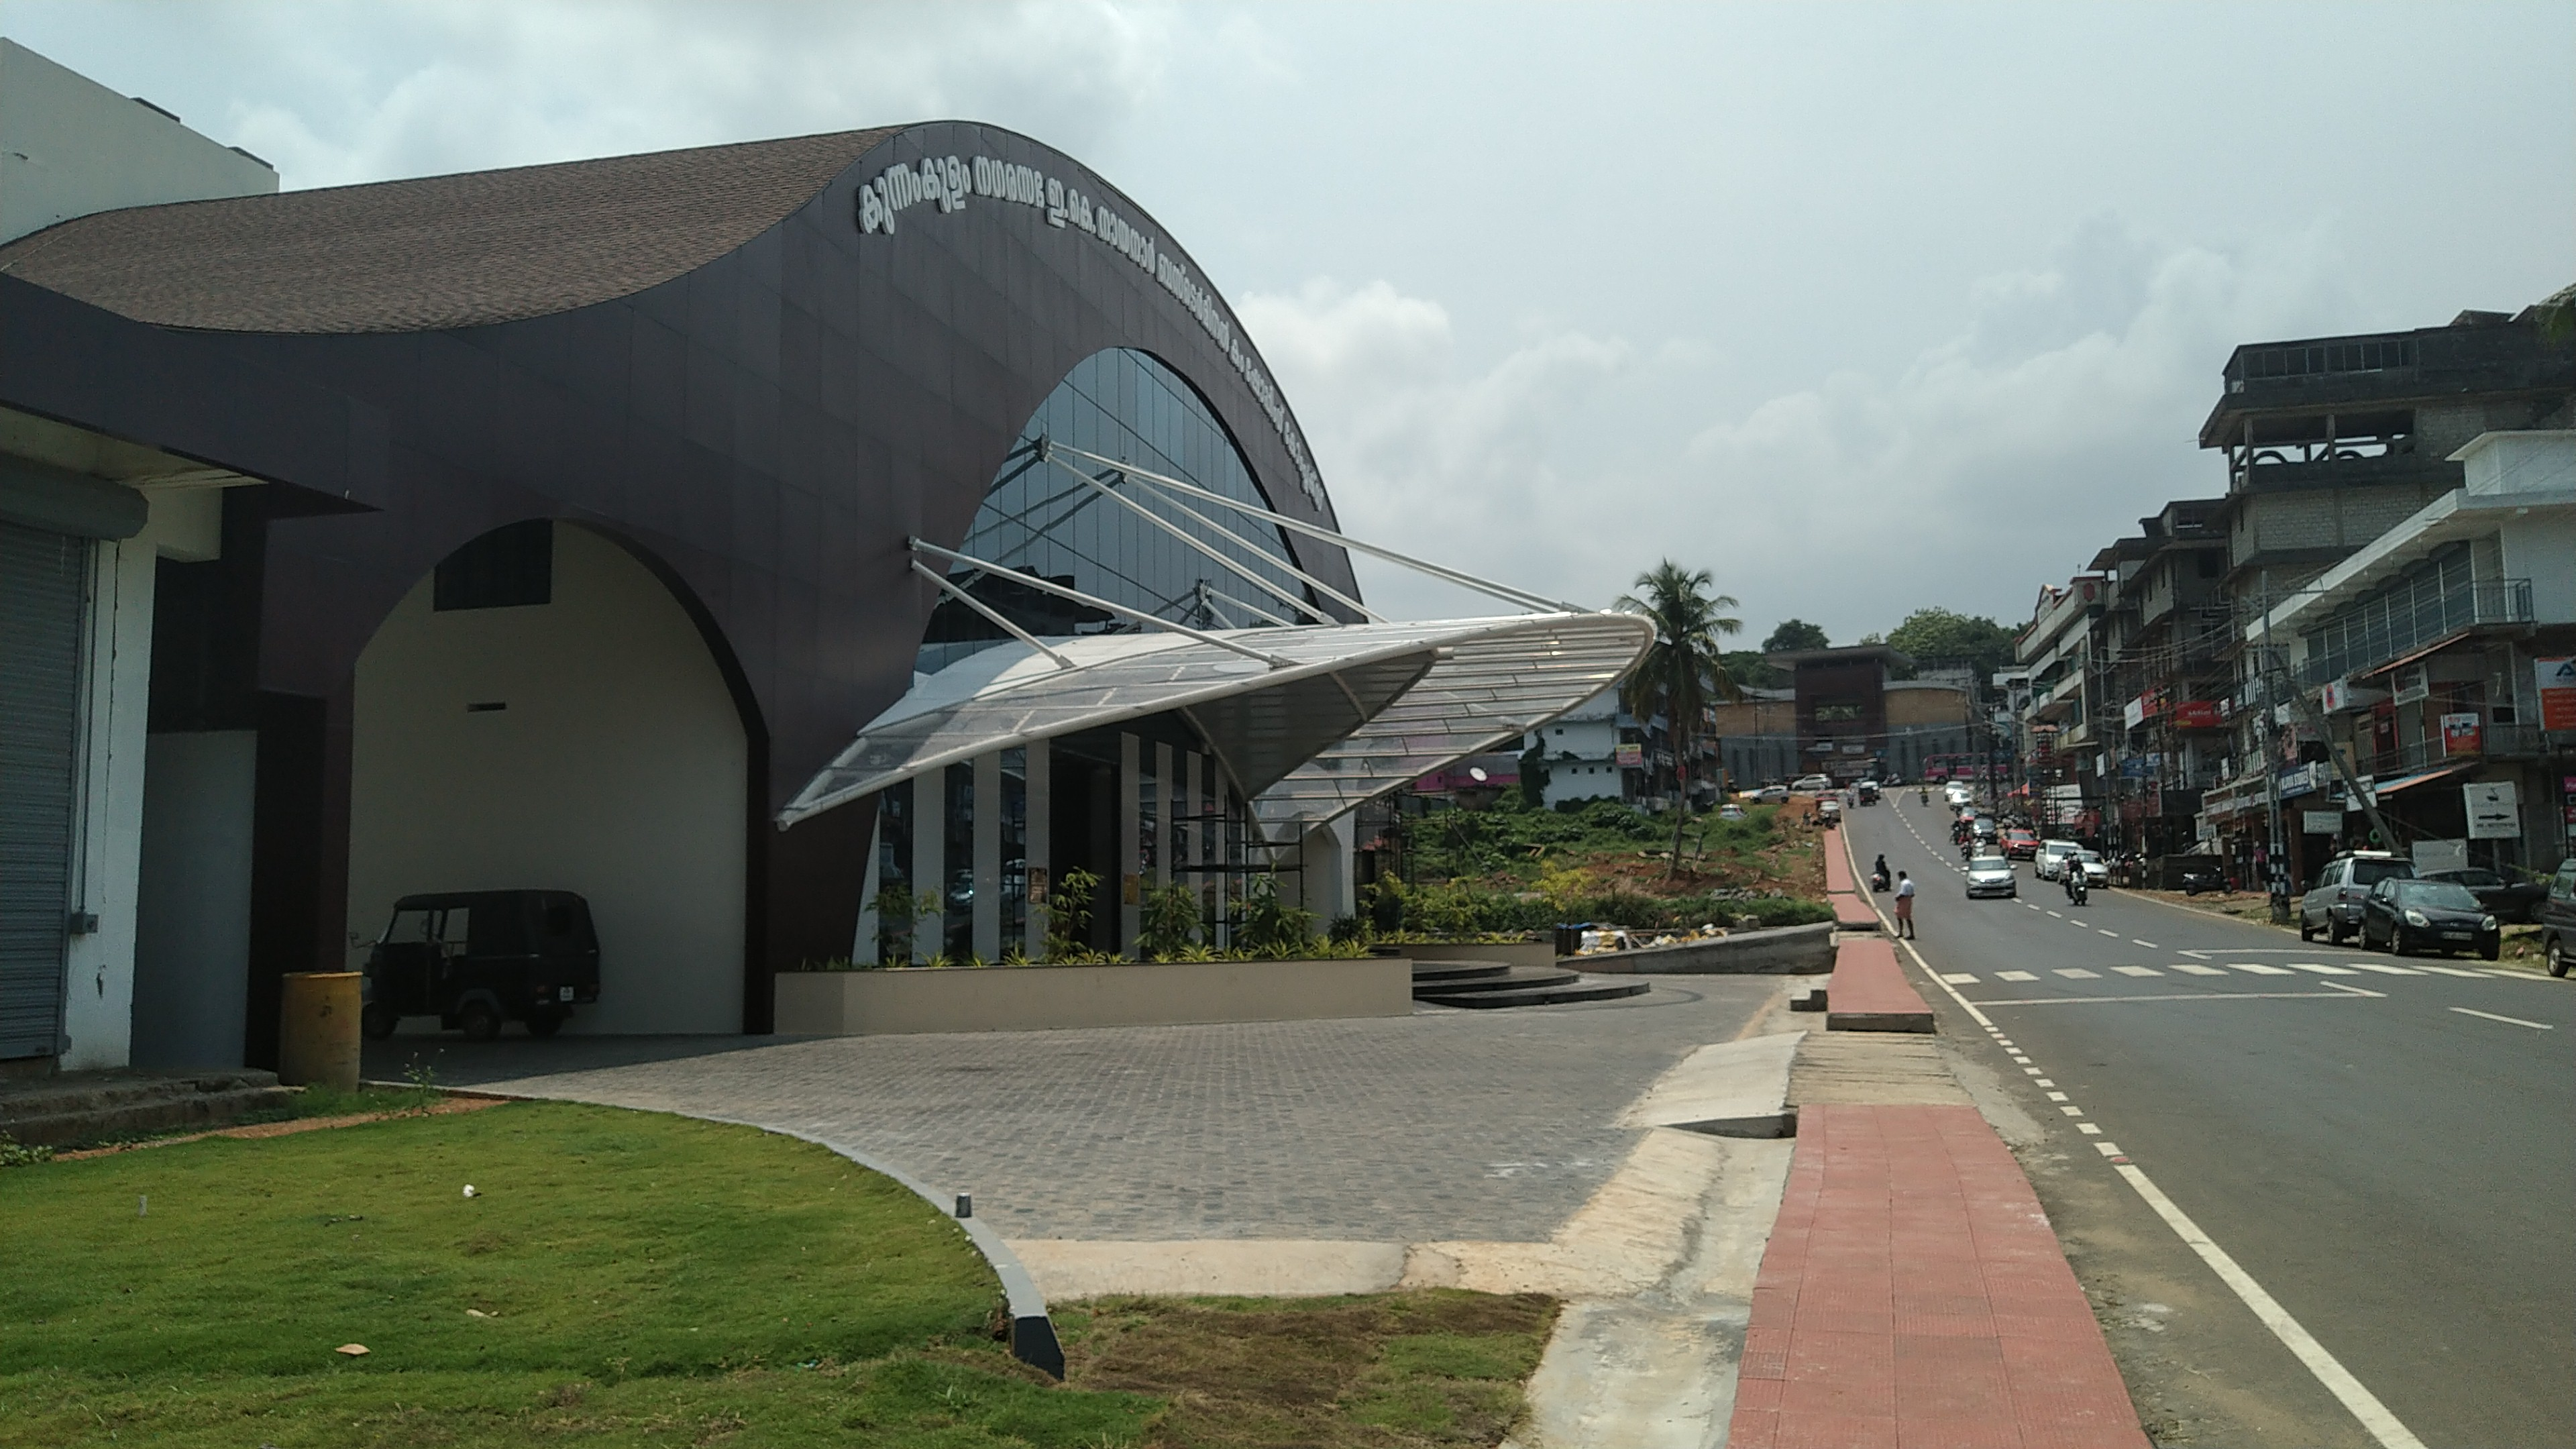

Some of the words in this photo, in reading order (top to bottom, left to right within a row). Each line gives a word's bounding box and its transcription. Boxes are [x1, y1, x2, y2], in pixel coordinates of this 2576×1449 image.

[849, 150, 977, 241] കുന്നംകുളം
[965, 152, 1049, 213] നഗരസഭ
[1042, 173, 1160, 280] ഇ.കെ.നായനാർ